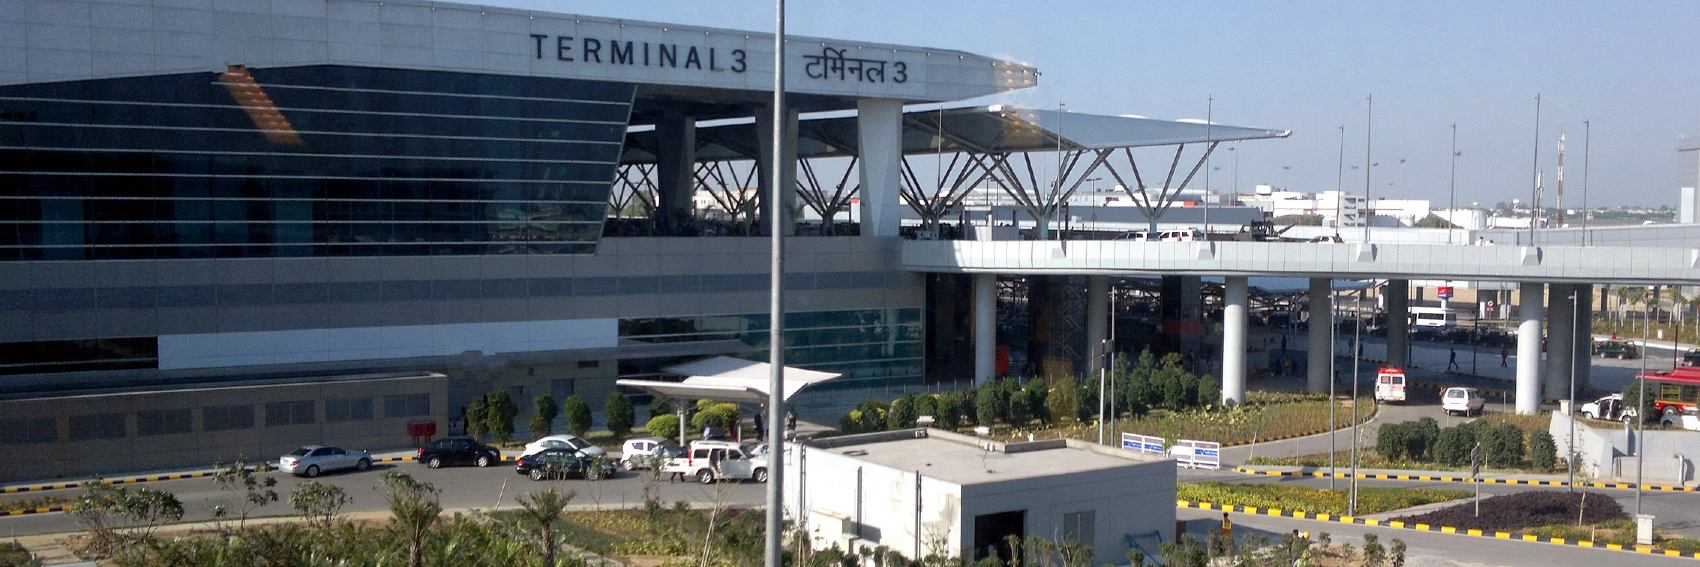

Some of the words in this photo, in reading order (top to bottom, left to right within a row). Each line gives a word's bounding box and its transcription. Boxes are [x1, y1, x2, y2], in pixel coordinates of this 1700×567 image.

[529, 30, 748, 74] TERMINAL3
[803, 42, 890, 89] टर्मिनल
[889, 60, 911, 87] 3